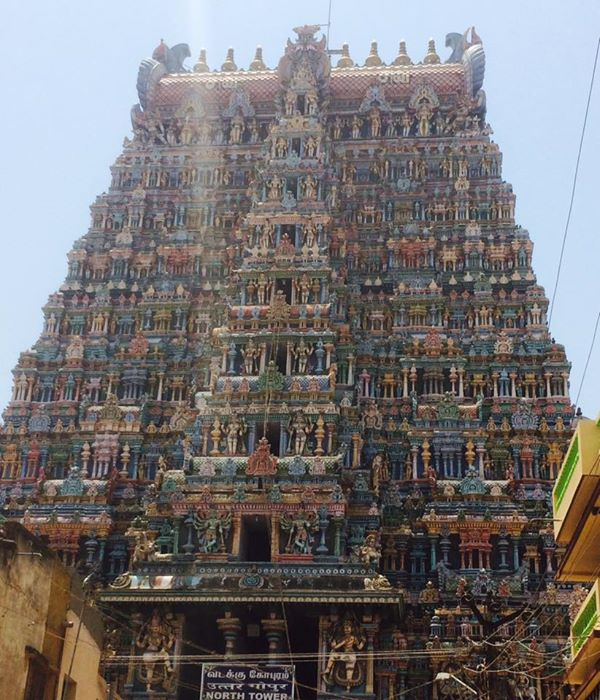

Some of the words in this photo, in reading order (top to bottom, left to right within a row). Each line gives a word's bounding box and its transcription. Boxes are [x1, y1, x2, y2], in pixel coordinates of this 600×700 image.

[202, 665, 251, 684] வடக்கு
[247, 663, 294, 684] கோபுரம்
[201, 687, 249, 699] NORTH
[205, 677, 246, 693] उत्तर
[245, 674, 294, 695] गोपुर